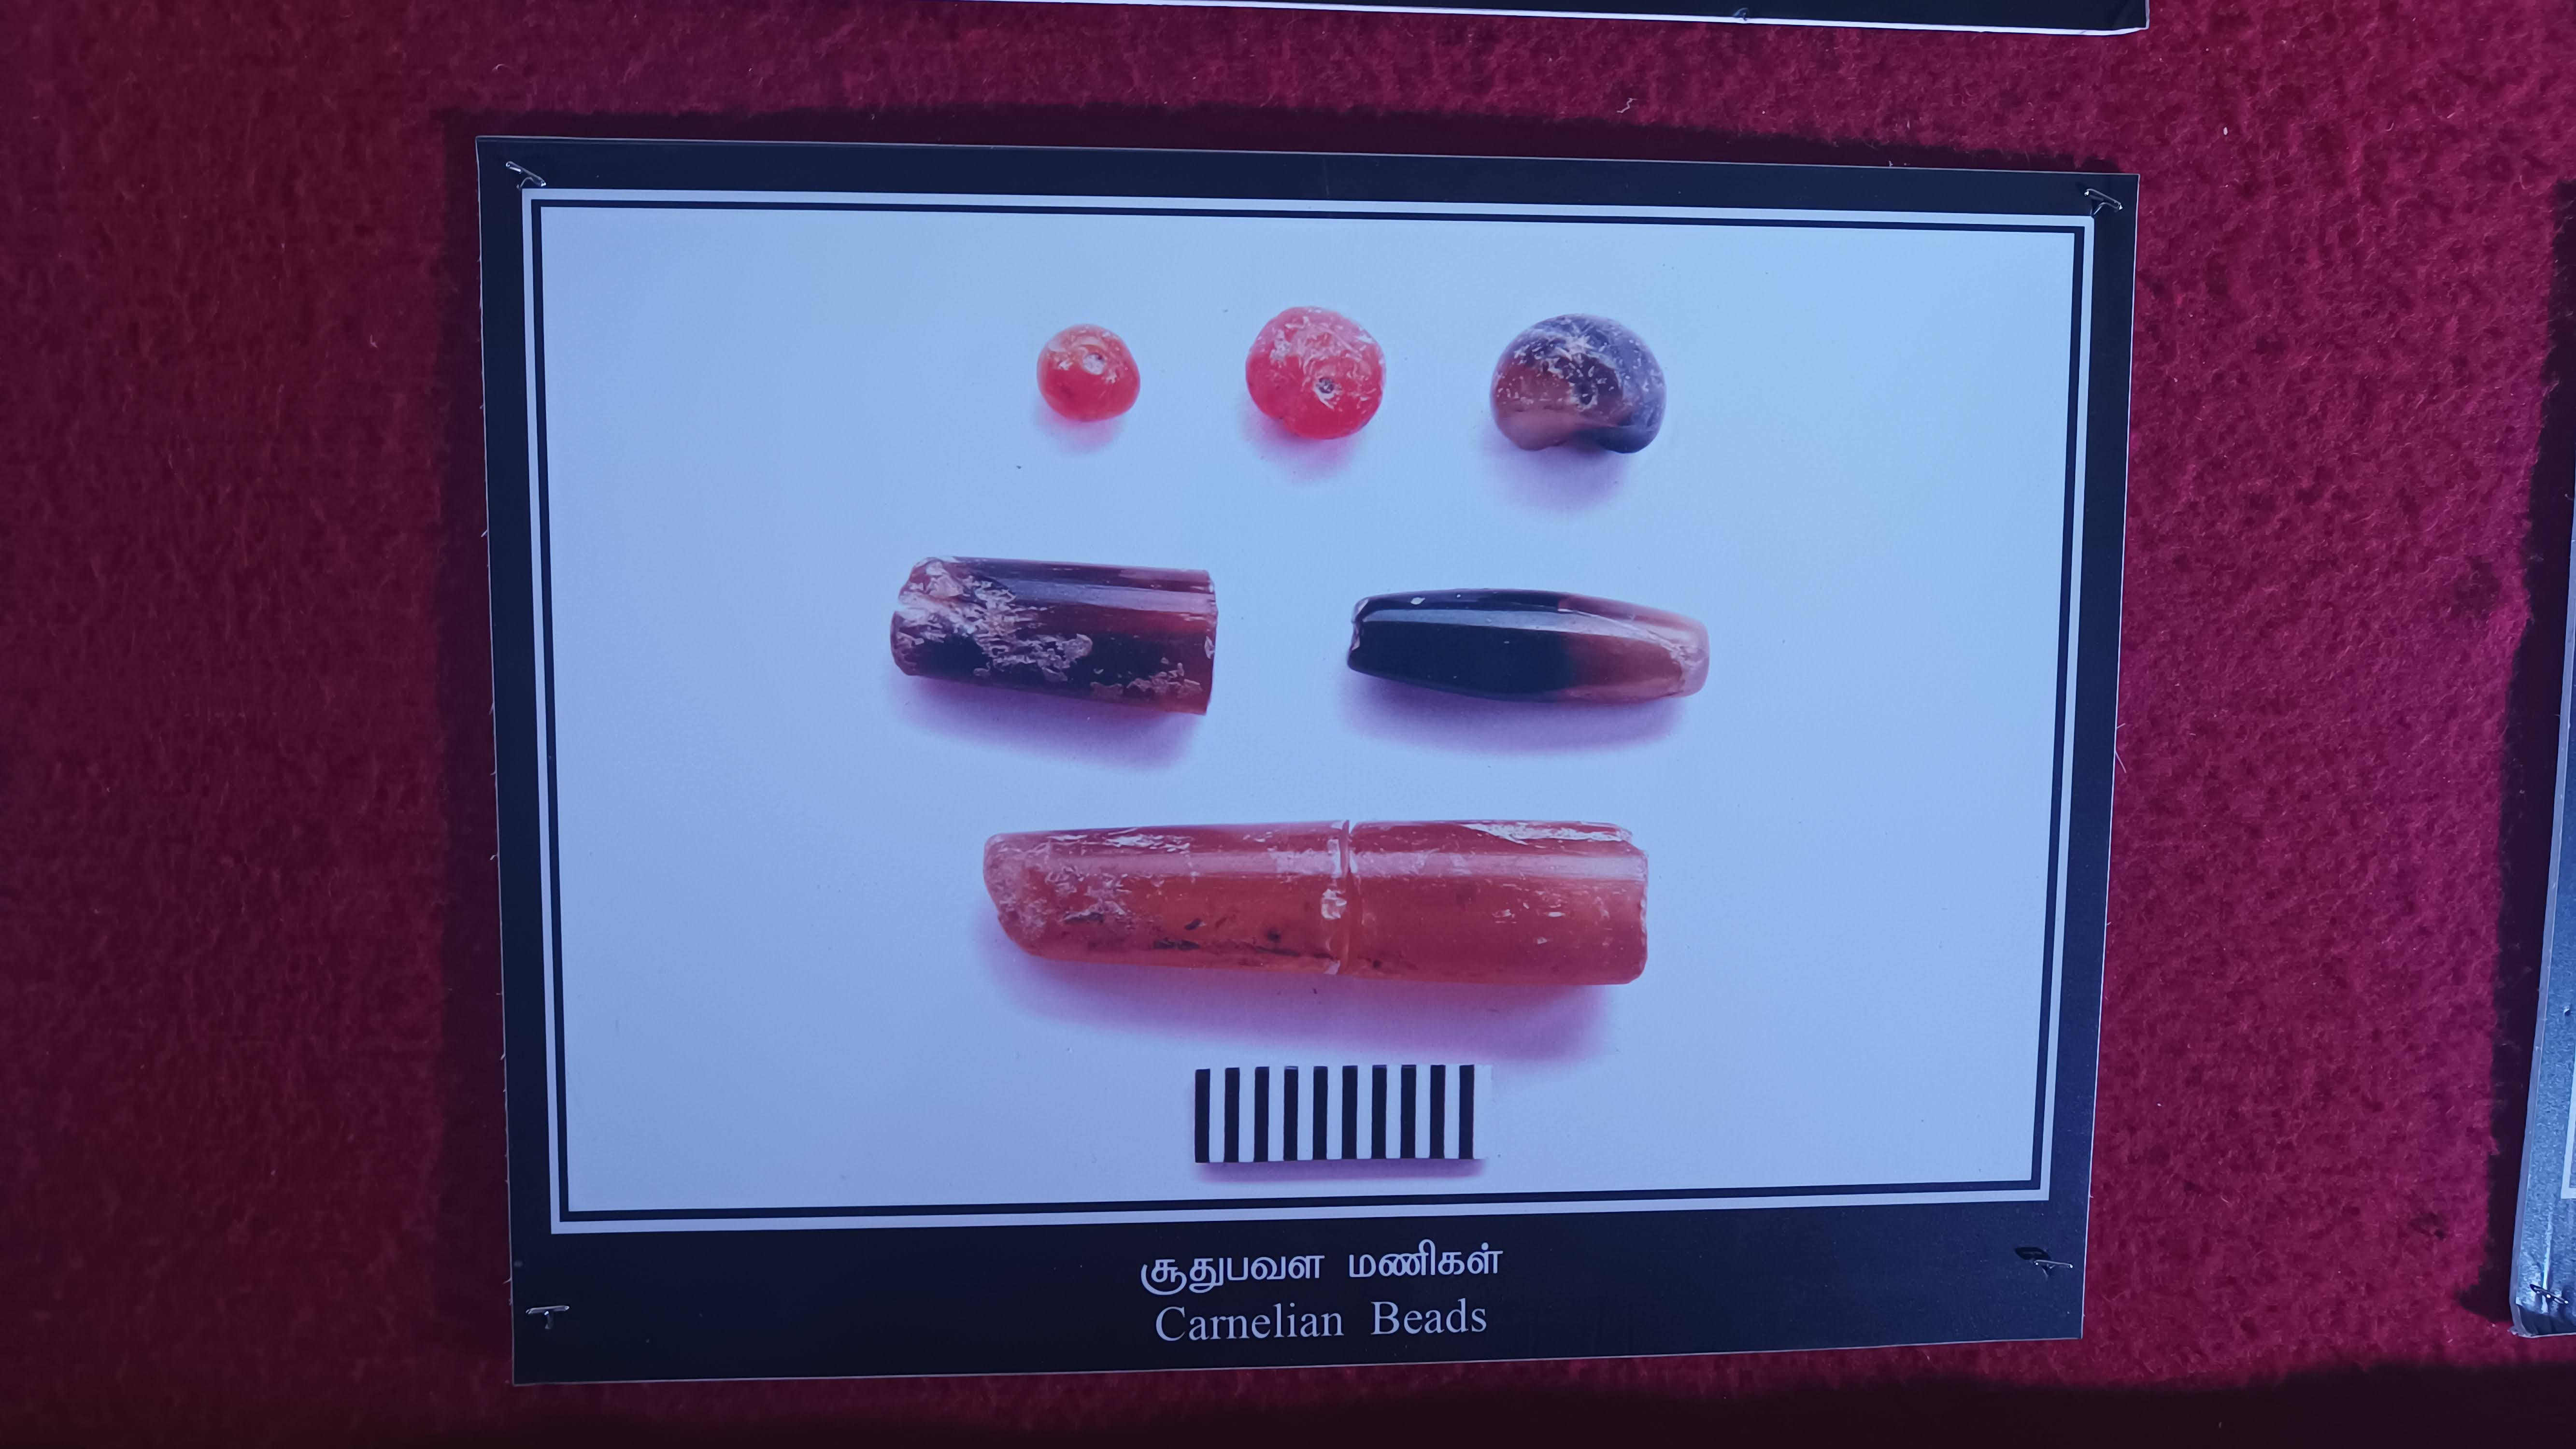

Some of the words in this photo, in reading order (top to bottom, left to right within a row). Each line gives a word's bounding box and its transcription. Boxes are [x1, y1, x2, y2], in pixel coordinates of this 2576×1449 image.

[1138, 1252, 1326, 1298] சூதுபவள
[1343, 1236, 1505, 1279] மணிகள்
[1152, 1297, 1348, 1343] Carnelian
[1367, 1294, 1489, 1335] Beads